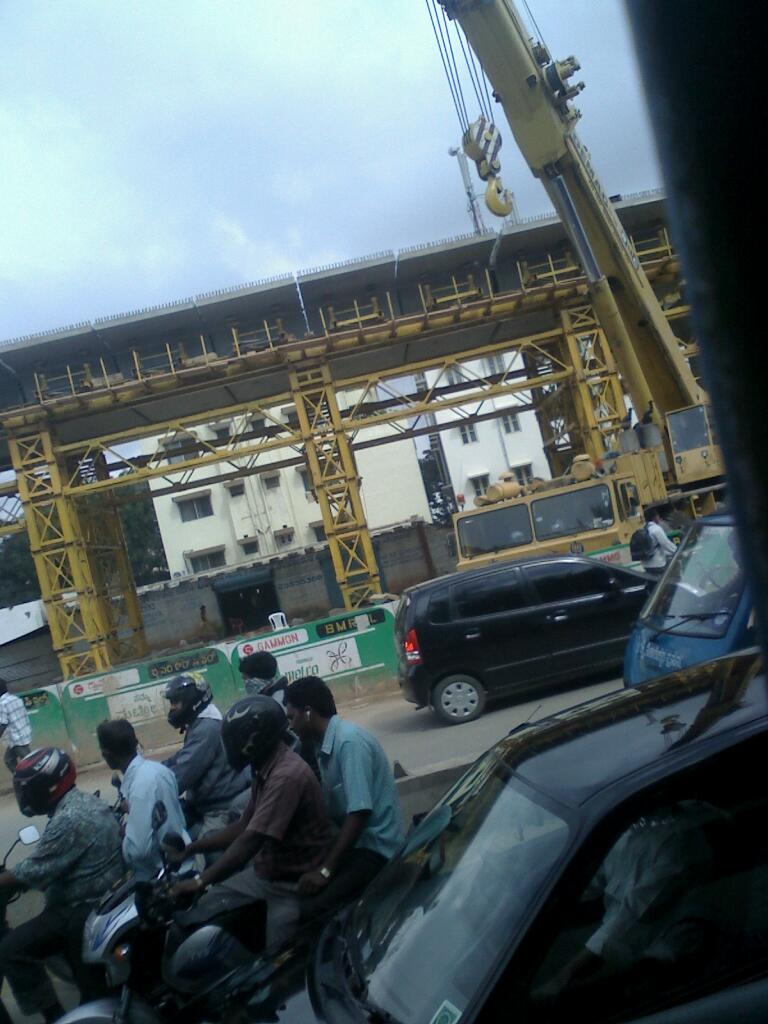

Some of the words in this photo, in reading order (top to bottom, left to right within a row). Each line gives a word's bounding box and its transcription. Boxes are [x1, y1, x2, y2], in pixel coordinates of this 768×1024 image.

[251, 627, 305, 657] GAMMON